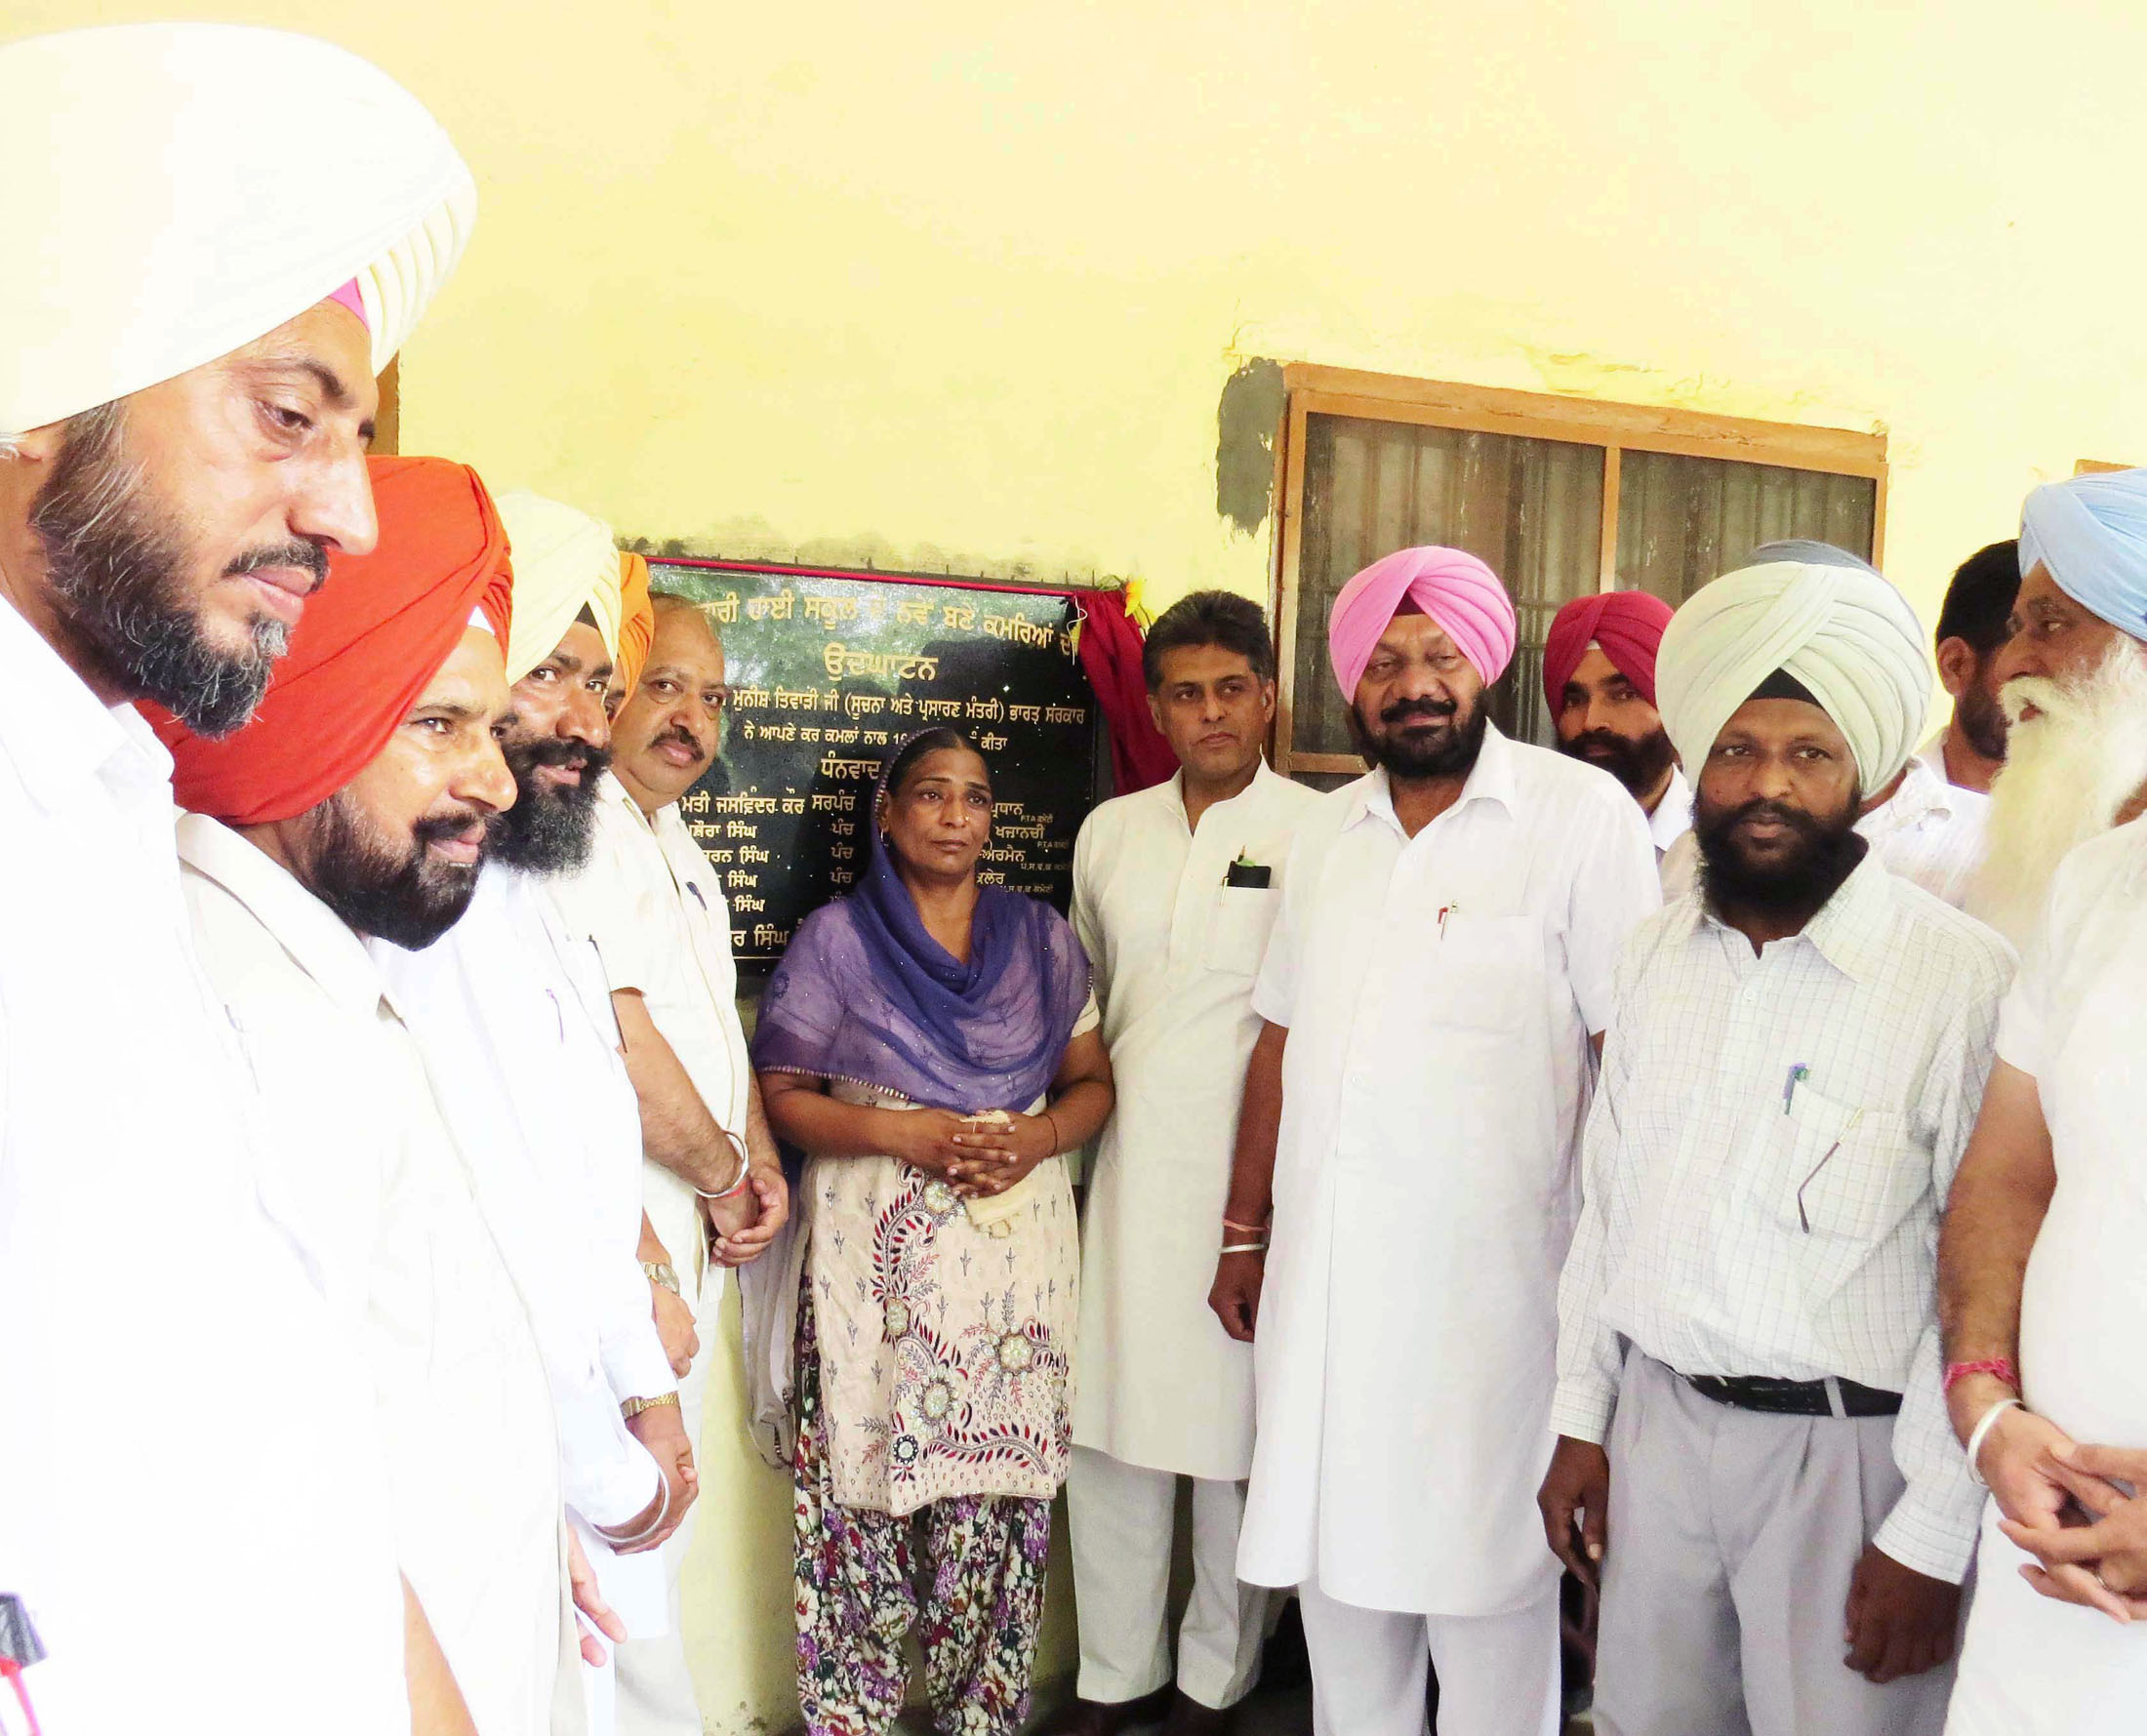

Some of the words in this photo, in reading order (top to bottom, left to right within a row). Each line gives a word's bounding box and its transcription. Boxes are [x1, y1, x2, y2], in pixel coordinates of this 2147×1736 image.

[741, 585, 798, 624] ਹਾਈ
[799, 590, 863, 634] ਸਕੂਲ
[892, 587, 936, 629] ਨਵੇ
[938, 594, 982, 634] ਬਣੇ
[977, 603, 1060, 658] ਕਮਰਿਆਂ
[815, 639, 951, 690] ਉਦਘਾਟਨ
[728, 675, 772, 715] ਮੁਨੀਸ਼
[770, 682, 821, 713] ਤਿਵਾੜੀ
[819, 684, 844, 714] ਜੀ
[846, 689, 889, 723] ਸੂਚਨਾ
[887, 688, 916, 717] ਅਤੇ
[915, 695, 963, 723] ਪ੍ਰਸਾਰਣ
[963, 693, 1003, 723] ਮੰਤਰੀ)
[1006, 700, 1042, 724] ਭਾਰਤ
[1042, 700, 1089, 731] ਸਰਕਾਰ
[739, 714, 758, 746] ਨੇ
[757, 717, 800, 744] ਆਪਣੇ
[795, 721, 824, 745] ਕਰ
[823, 722, 862, 746] ਕਮਲਾਂ
[860, 725, 890, 747] ਨਾਲ
[979, 727, 1012, 757] ਕੀਤਾ
[811, 747, 886, 785] ਧੰਨਵਾਦ
[711, 783, 779, 817] ਜਸਵਿੰਦਰ
[779, 793, 810, 818] ਕਰ
[806, 784, 861, 816] ਸਰਪੰਚ
[989, 794, 1028, 821] ਪ੍ਰਧਾਨ
[692, 817, 725, 840] ਸ਼ੌਰਾ
[723, 816, 762, 844] ਸਿੰਘ
[827, 816, 859, 838] ਪੰਚ
[992, 824, 1049, 839] ਖਜਾਨਚੀ
[711, 845, 735, 866] ਰਨ
[735, 842, 779, 868] ਸਿੰਘ
[826, 836, 858, 863] ਪੰਚ
[977, 840, 1030, 864] ਅਰਮੈਨ
[725, 868, 763, 891] ਸਿੰਘ
[823, 860, 860, 886] ਪੰਚ
[975, 865, 1009, 885] ਕਲੇਰ
[731, 892, 773, 917] ਸਿੰਘ
[730, 927, 749, 949] ਰ
[749, 918, 790, 951] ਮਿੰਘ